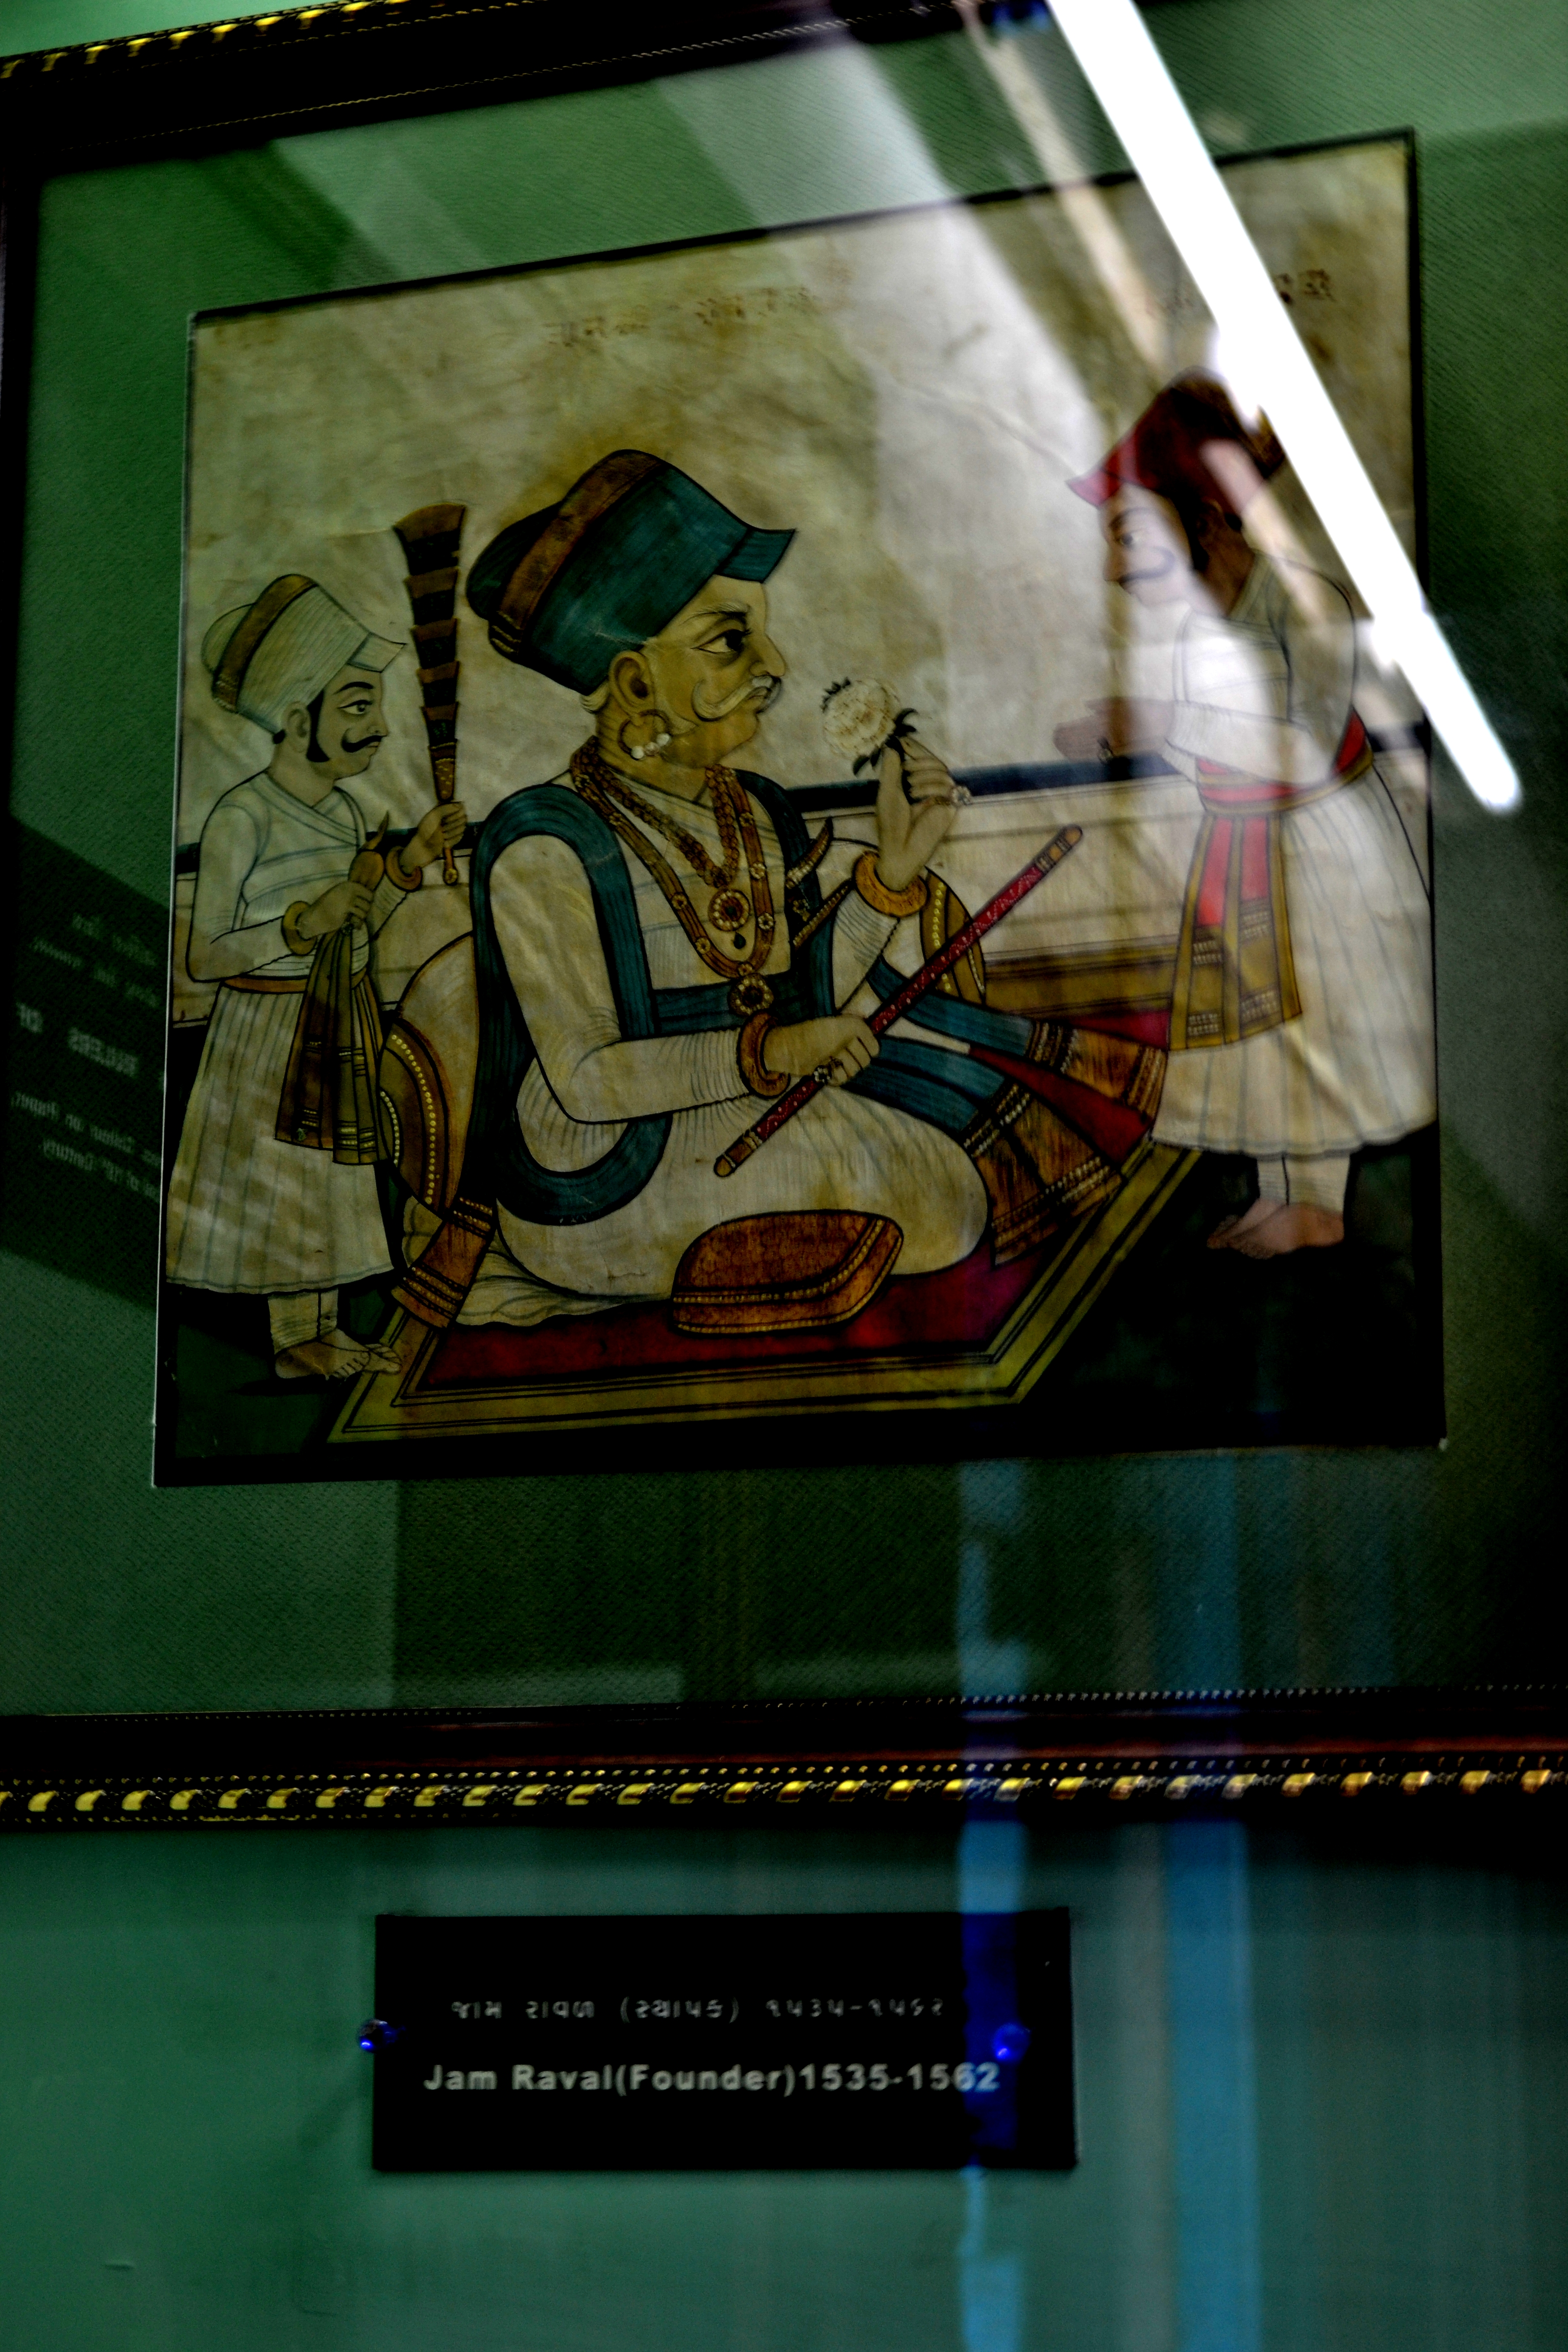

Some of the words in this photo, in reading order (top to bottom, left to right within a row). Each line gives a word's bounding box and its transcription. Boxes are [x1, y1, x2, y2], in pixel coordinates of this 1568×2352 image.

[524, 1995, 599, 2022] રાવળ
[620, 1993, 737, 2022] સ્થાપક
[422, 2066, 497, 2102] Jam
[520, 2062, 987, 2092] Raval (Founder) 1535-1562